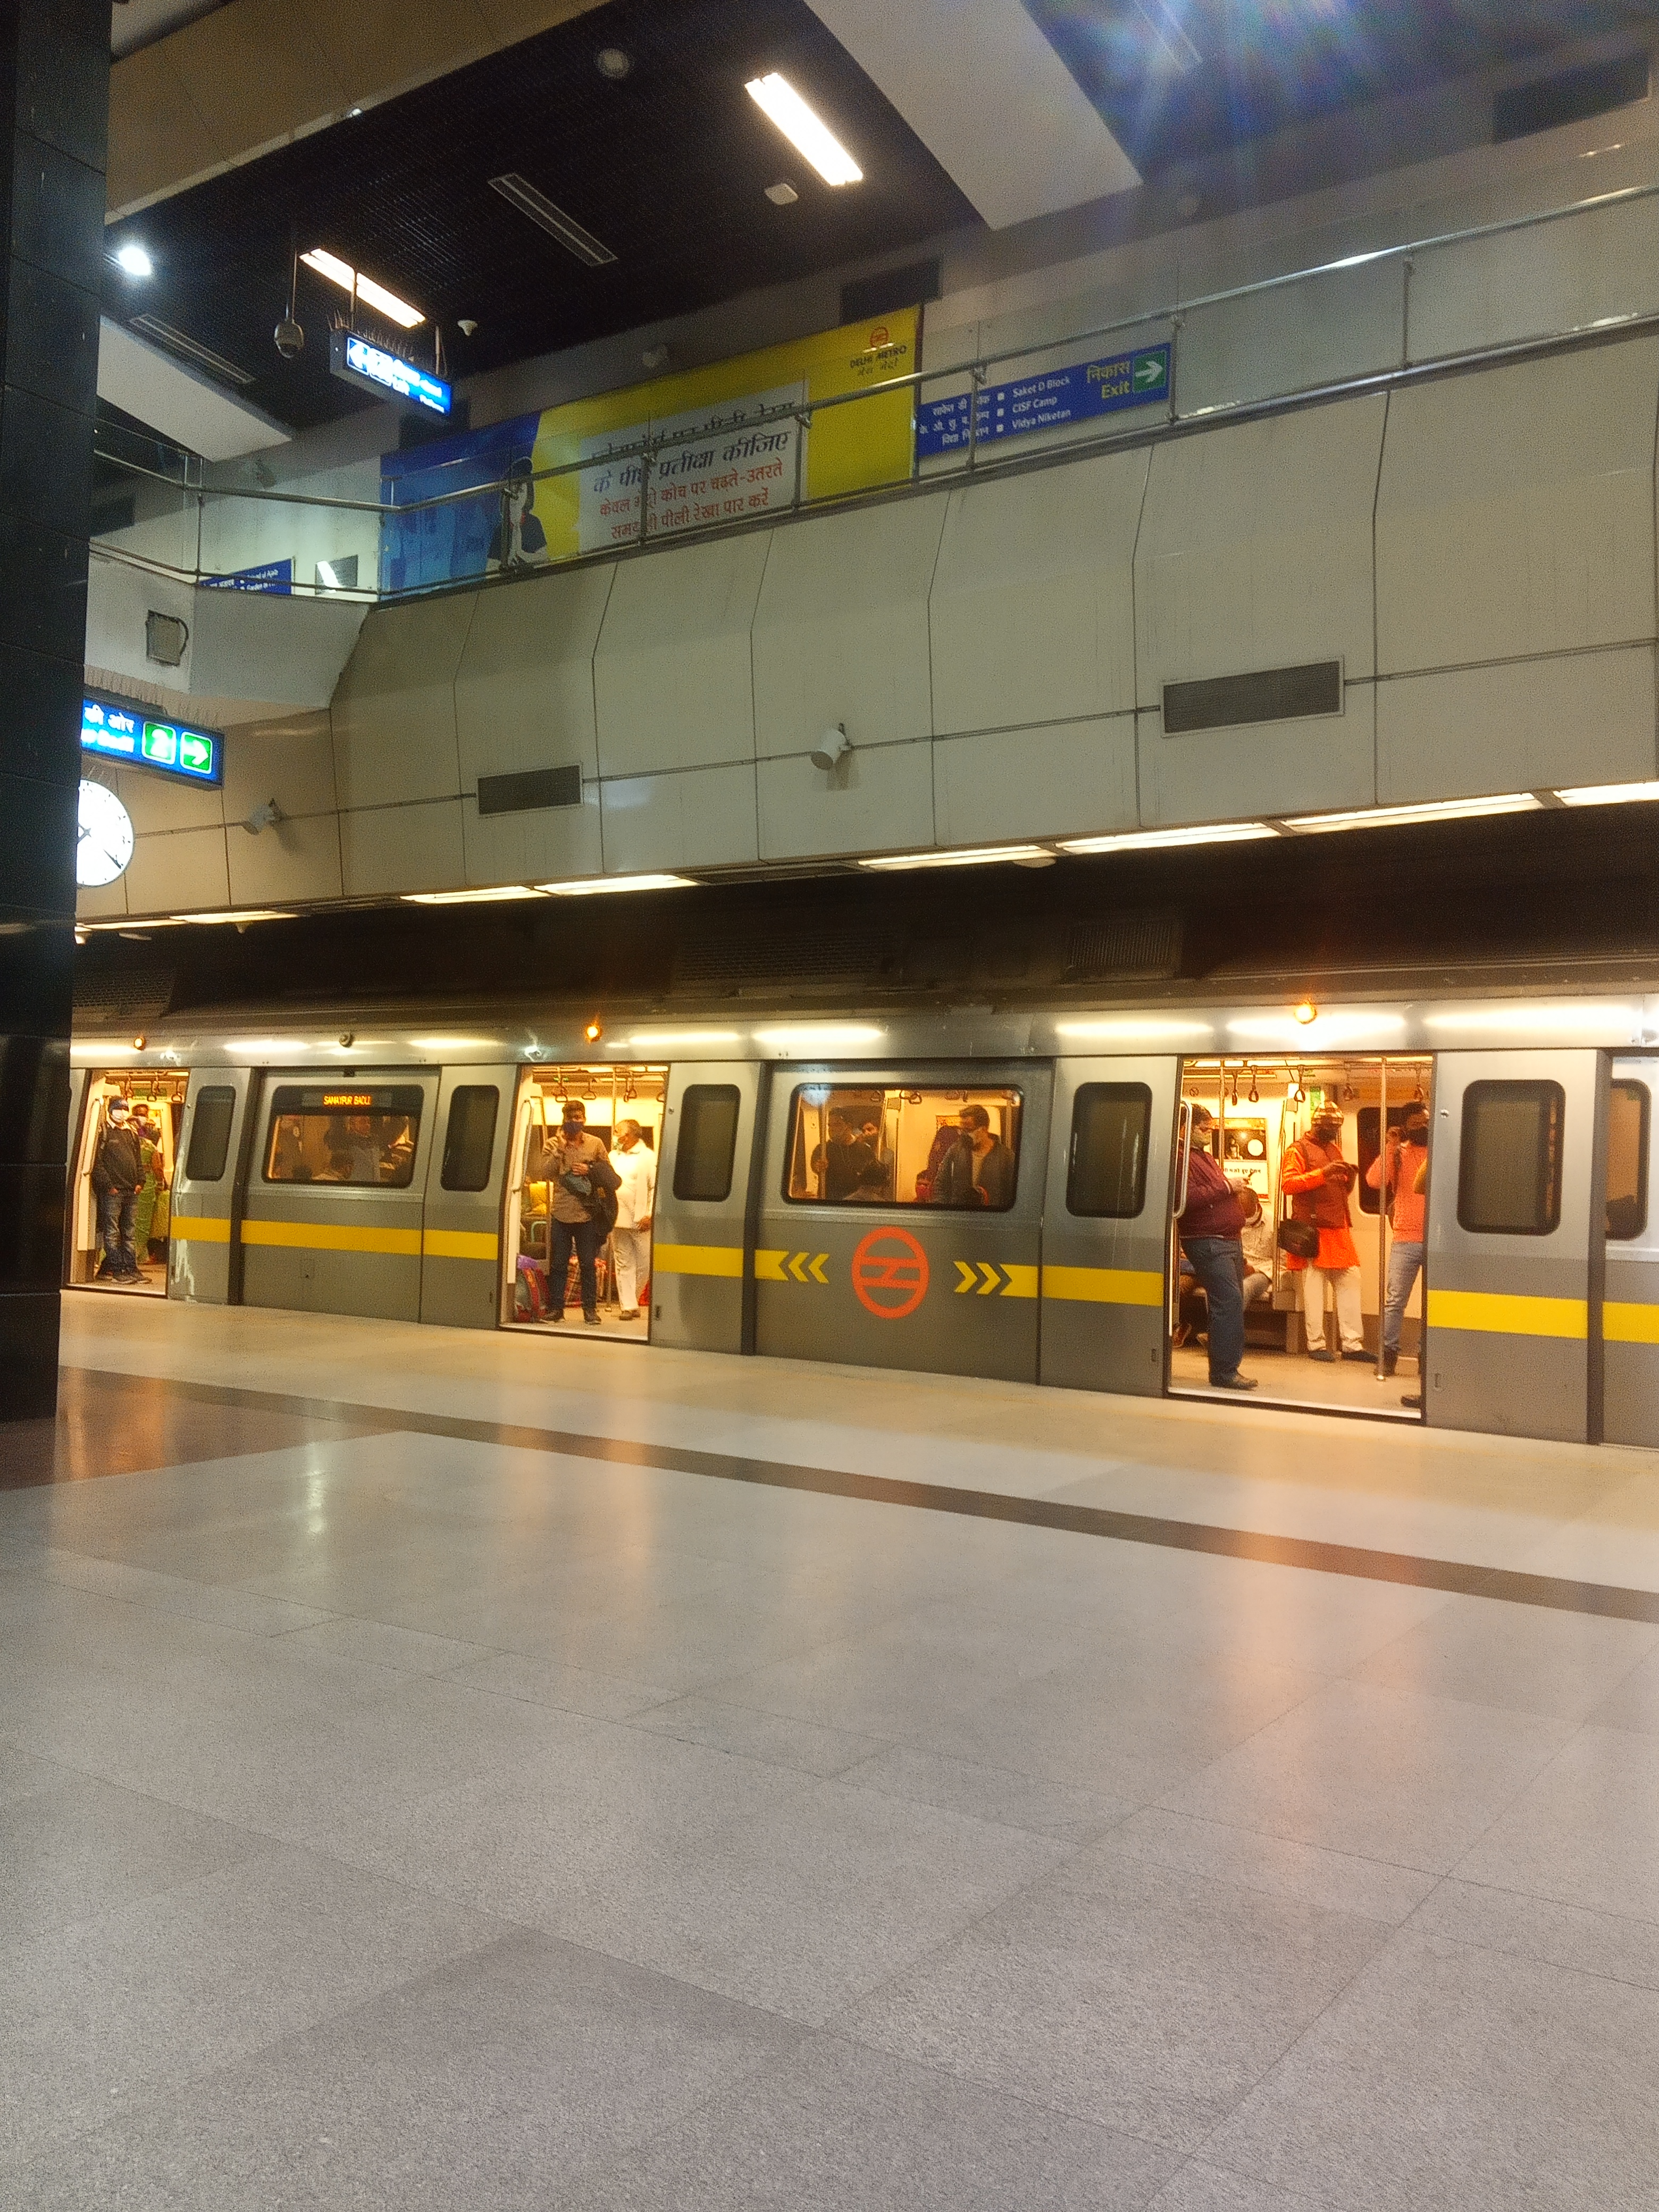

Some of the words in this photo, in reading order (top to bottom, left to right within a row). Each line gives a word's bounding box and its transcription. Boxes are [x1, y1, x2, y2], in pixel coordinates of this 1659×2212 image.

[1079, 352, 1134, 385] निकास
[1097, 375, 1133, 405] Exit
[721, 429, 790, 463] कीजिए
[593, 467, 611, 496] के
[598, 496, 631, 517] केवल
[610, 511, 659, 541] सम
[661, 480, 688, 505] कोच
[660, 504, 690, 530] पीली
[658, 447, 715, 481] प्रतीक्षा
[689, 479, 707, 497] पर
[692, 500, 720, 524] रेखा
[711, 467, 740, 492] चलते
[722, 496, 745, 516] पार
[749, 485, 770, 513] करे
[748, 455, 784, 485] उतरते